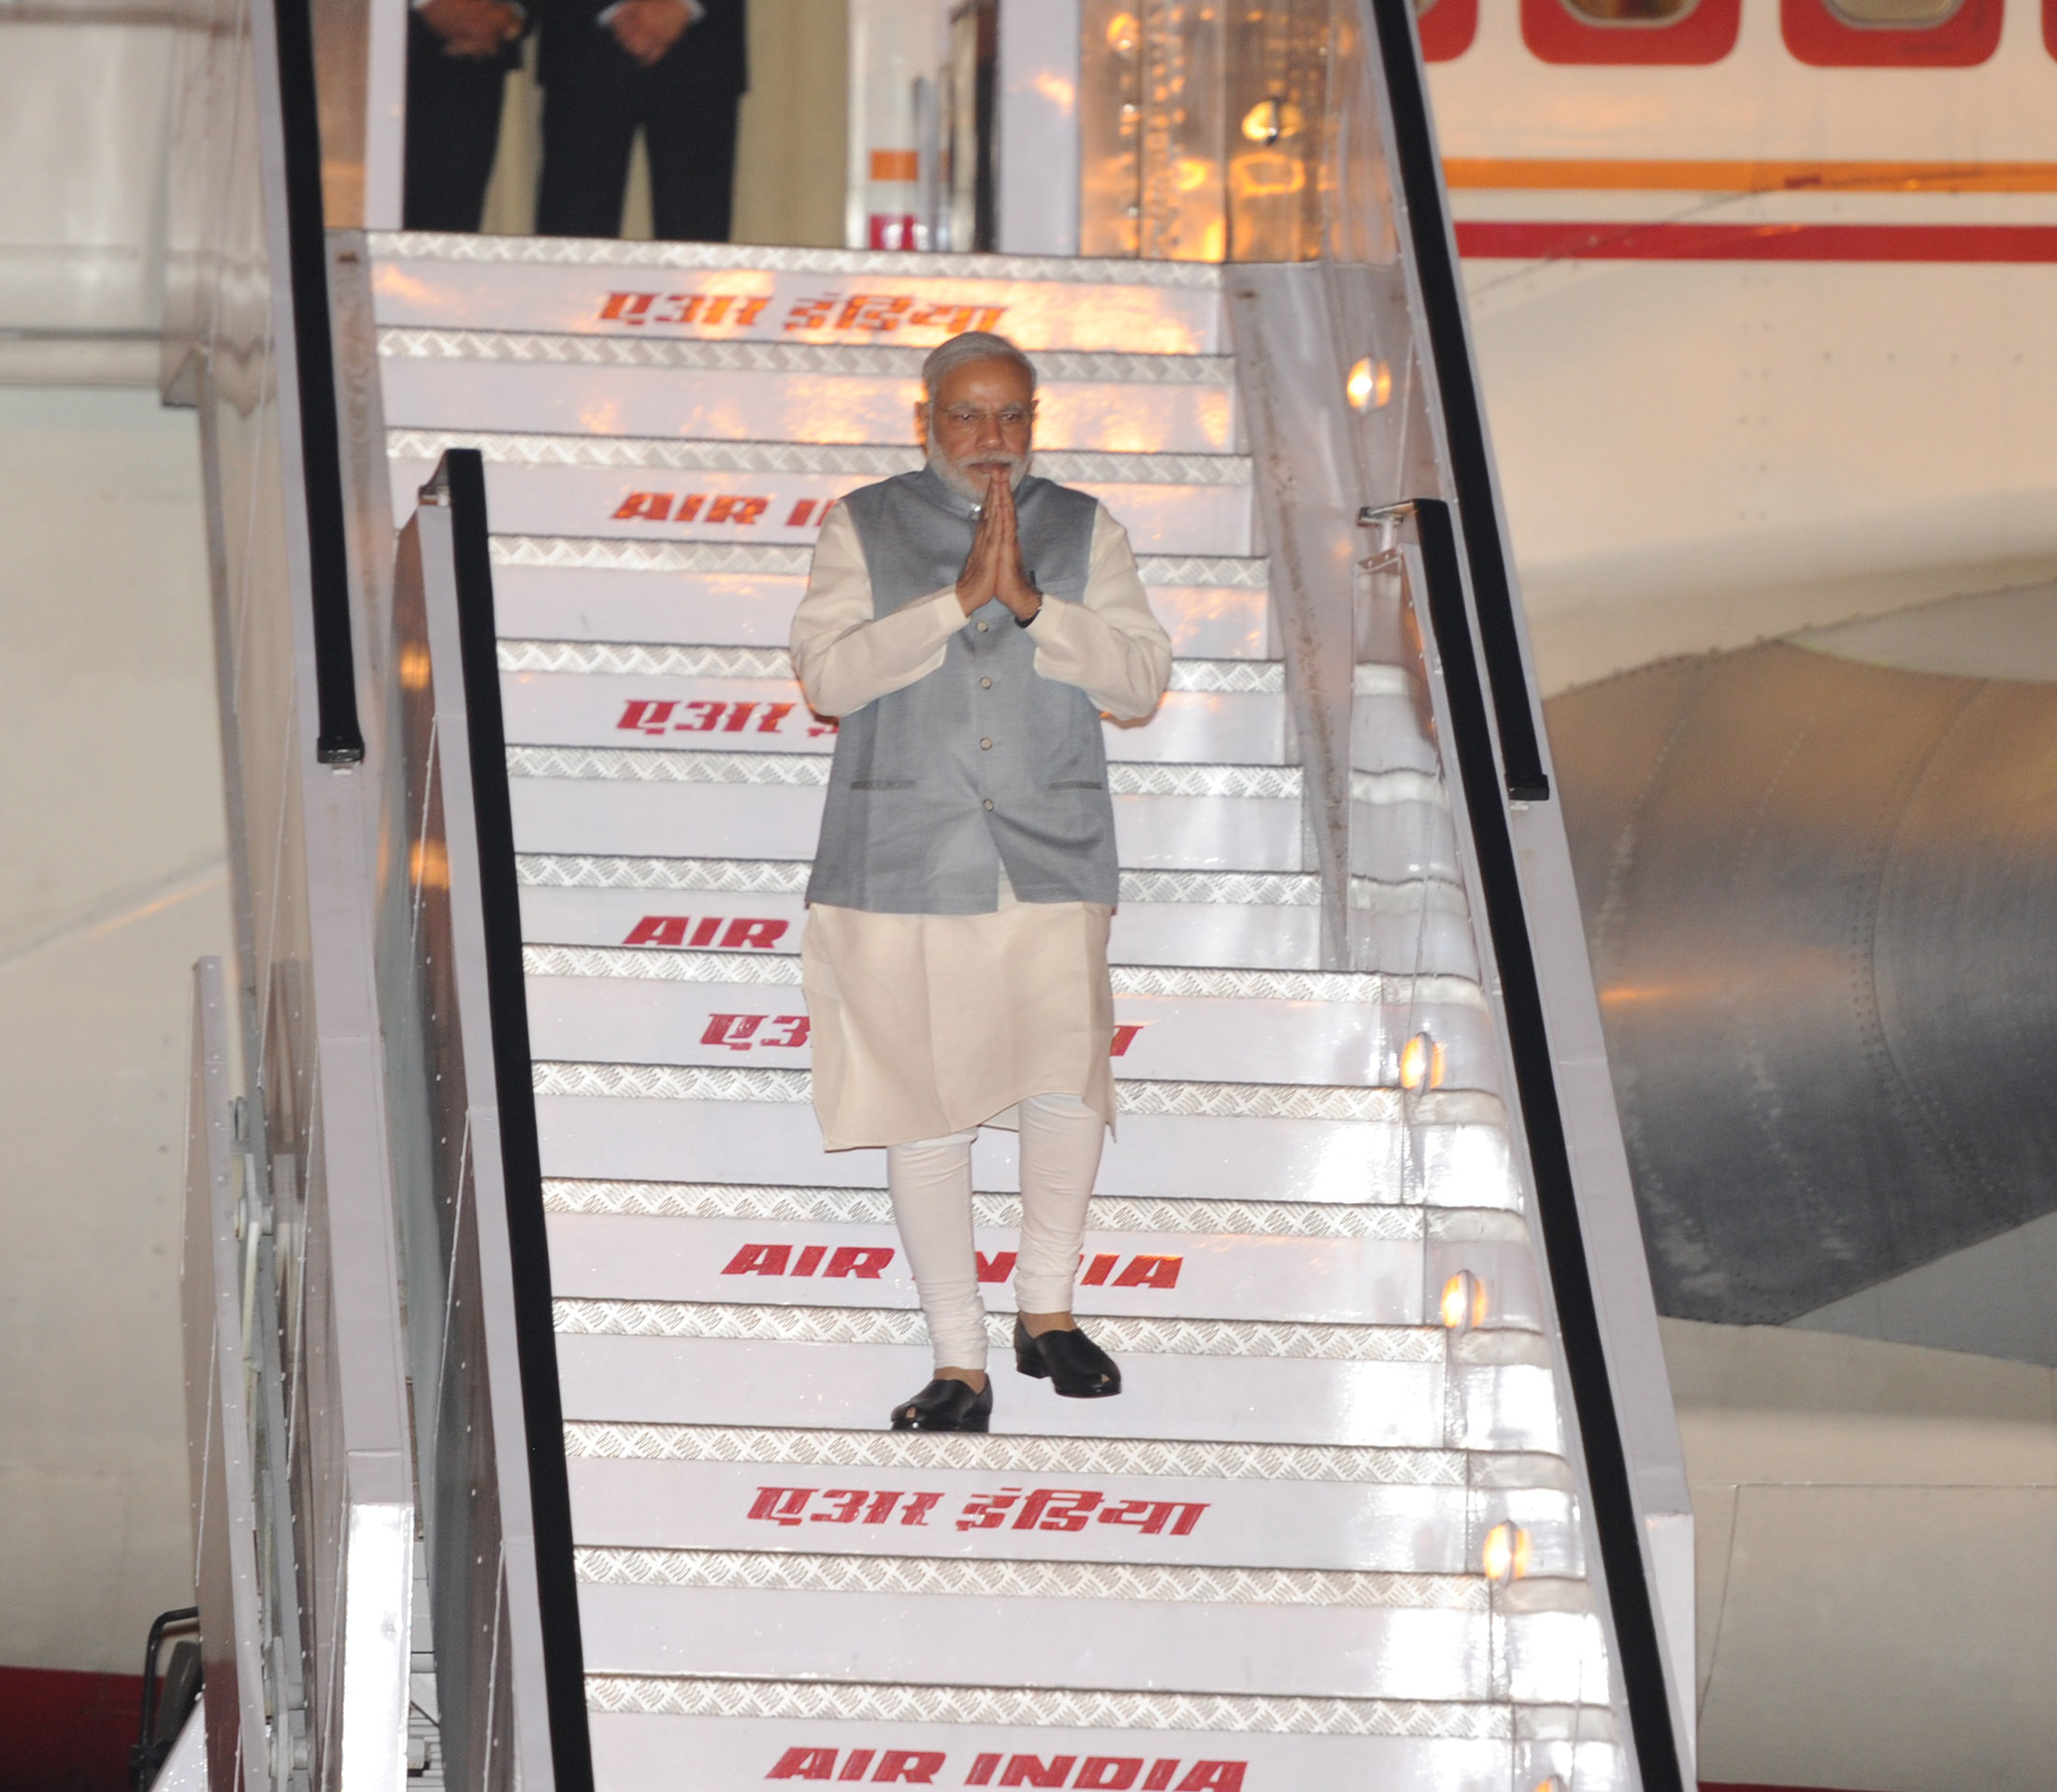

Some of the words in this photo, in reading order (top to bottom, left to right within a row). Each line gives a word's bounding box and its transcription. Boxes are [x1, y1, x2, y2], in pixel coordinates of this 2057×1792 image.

[594, 293, 775, 330] एअर
[779, 287, 1014, 338] इंडिया
[607, 490, 772, 530] AIR
[613, 698, 798, 743] एअर
[618, 914, 792, 957] AIR
[719, 1240, 898, 1283] AIR
[743, 1484, 947, 1529] एअर
[952, 1483, 1215, 1541] इंडिया
[764, 1743, 949, 1788] AIR
[957, 1750, 1254, 1791] INDIA